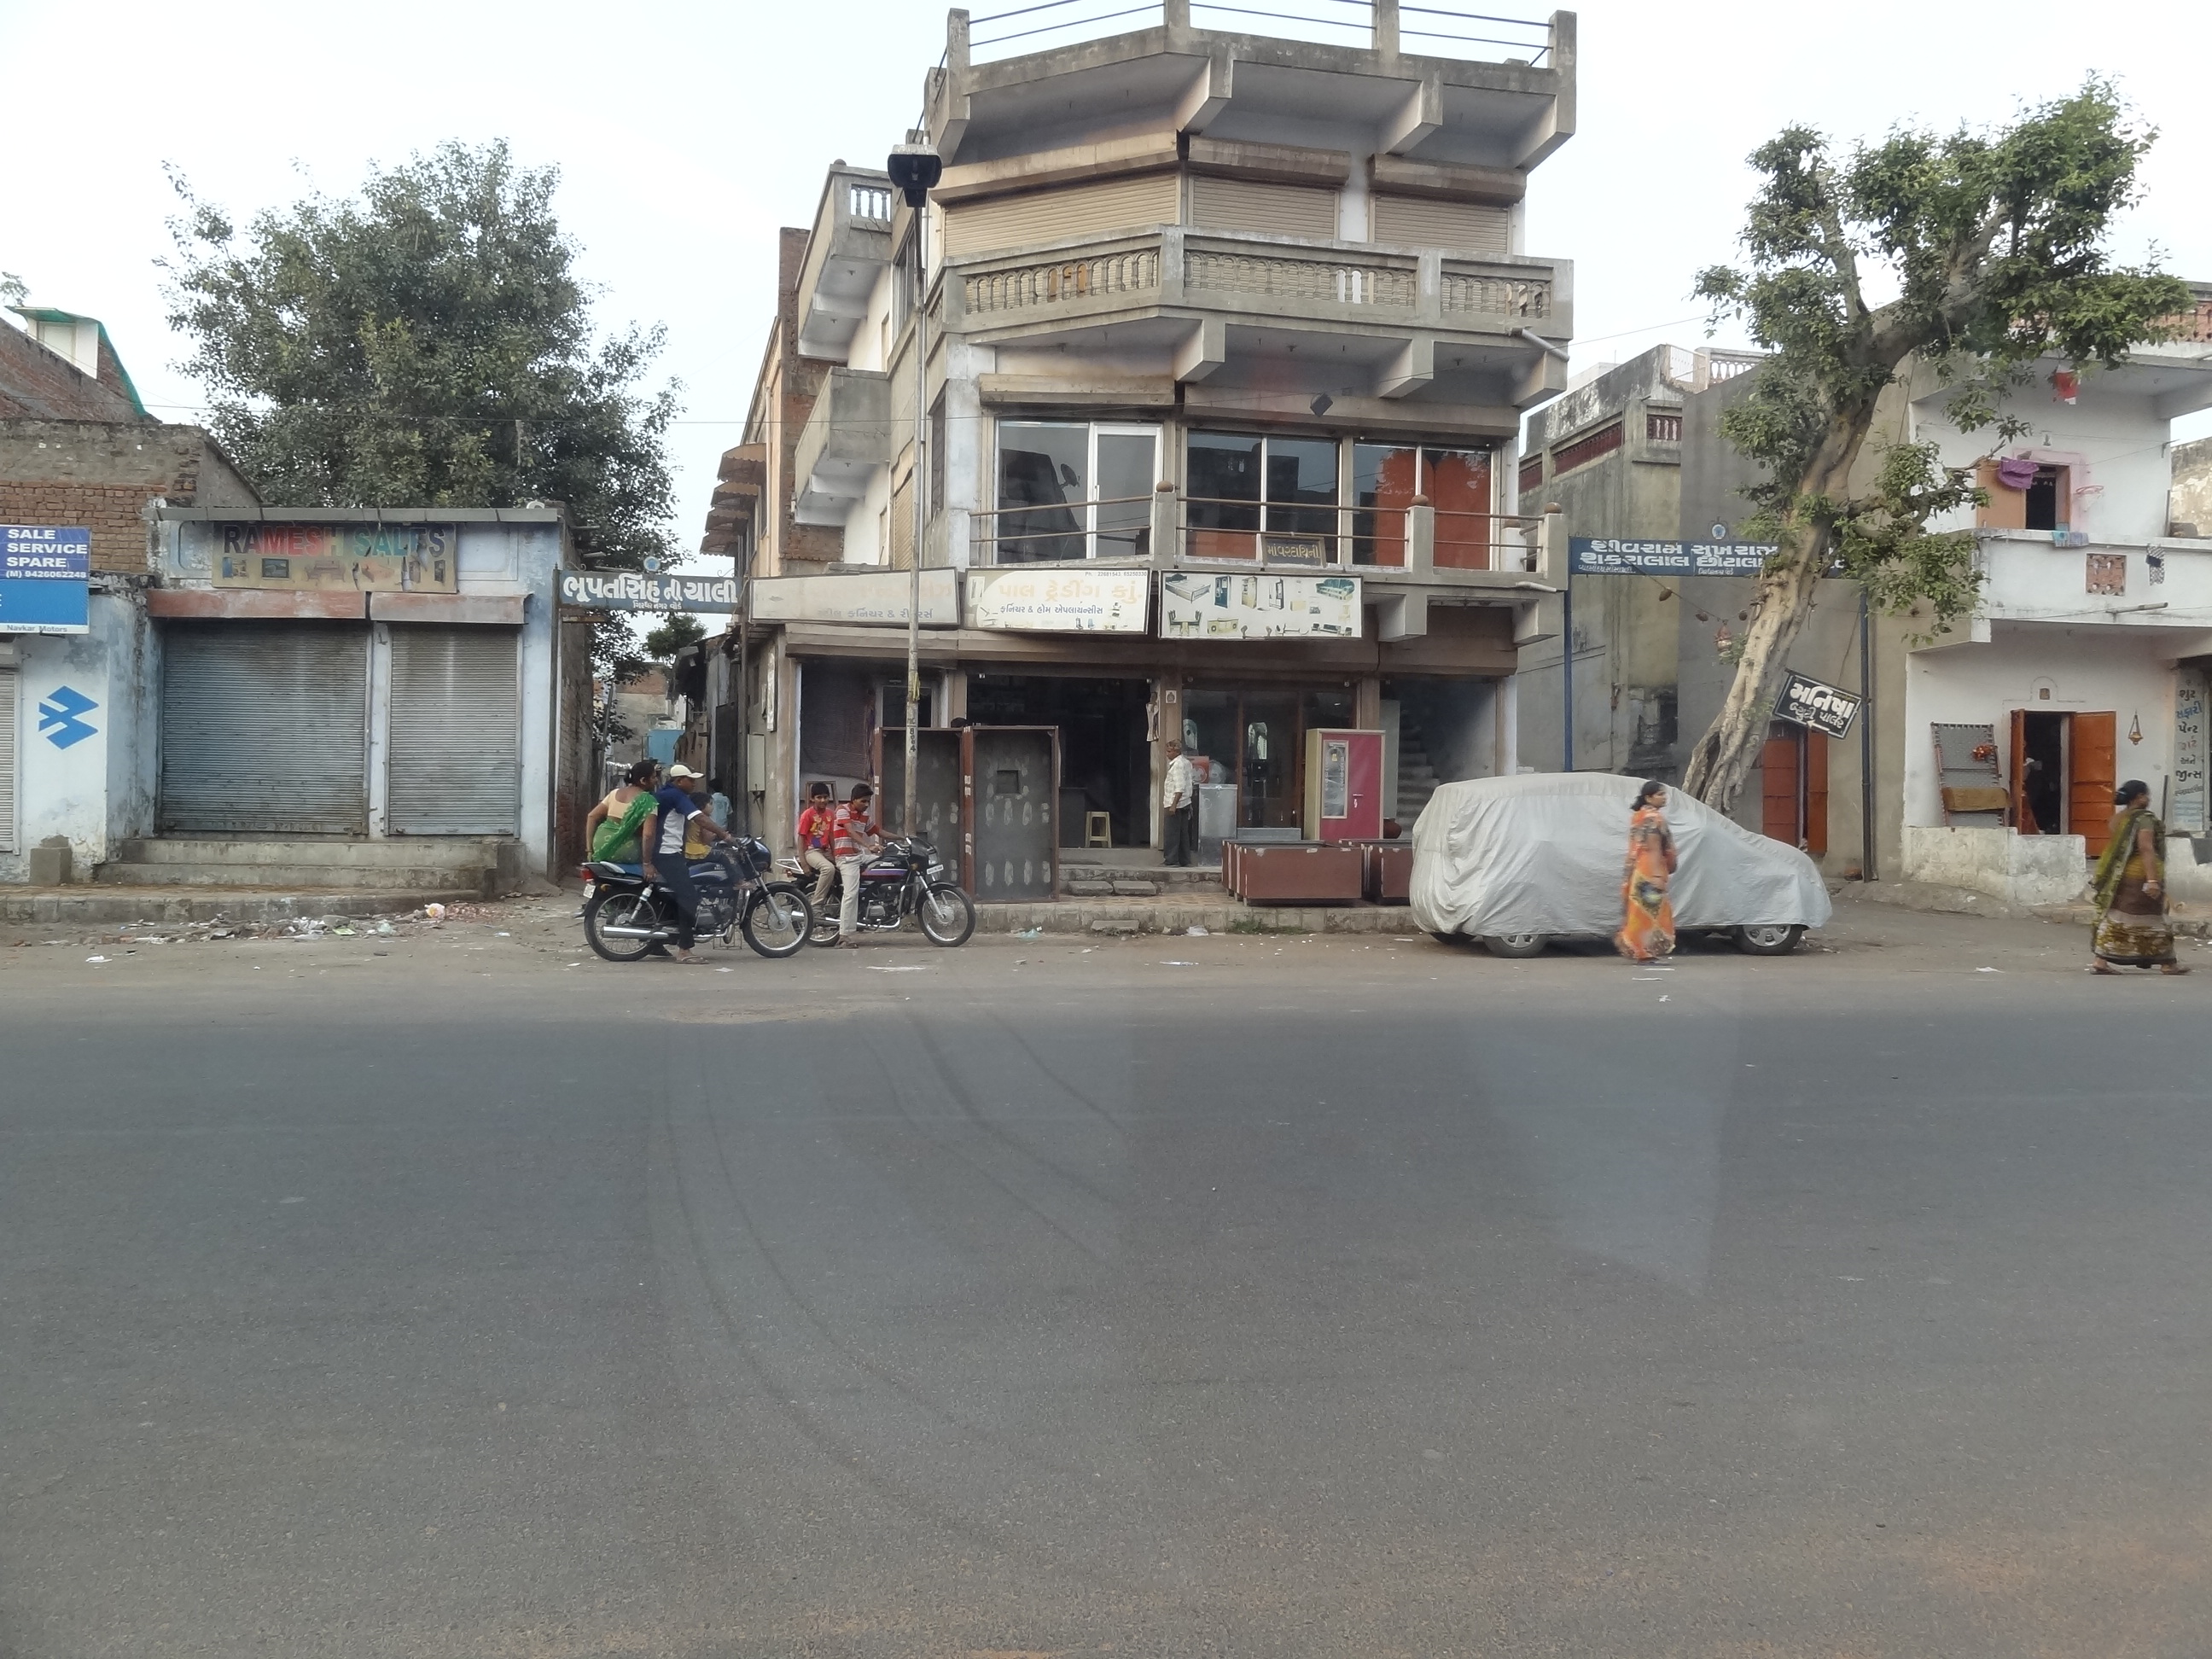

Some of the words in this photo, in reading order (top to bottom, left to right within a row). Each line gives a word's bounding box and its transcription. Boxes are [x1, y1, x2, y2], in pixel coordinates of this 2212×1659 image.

[6, 527, 59, 542] SALE
[4, 556, 68, 569] SPARE
[6, 542, 88, 556] SERVICE
[221, 523, 346, 559] RAMESH
[350, 527, 448, 561] SALES
[1262, 541, 1322, 561] માંવરદાચિની
[1576, 550, 1693, 568] શકરાલાલ
[1587, 538, 1686, 556] શીવરામ
[1690, 544, 1757, 556] સુખરા
[1694, 556, 1761, 568] છોટાલ
[6, 568, 21, 579] (M)
[23, 569, 88, 579] 9426062248
[561, 570, 661, 605] ભૂપતસિંહ
[661, 575, 684, 602] ની
[684, 576, 742, 605] ચાલી
[994, 579, 1040, 601] પાલ
[1043, 576, 1105, 604] ટ્રેડીંગ
[1107, 579, 1141, 607] કાું
[998, 600, 1027, 615] ફર્નિચર
[1033, 599, 1054, 615] હોમ
[1052, 602, 1107, 615] એપલાયન્સીસ
[1784, 678, 1859, 720] મનિષા
[1783, 700, 1817, 723] બ્યુટી
[1817, 709, 1846, 729] પાર્લર